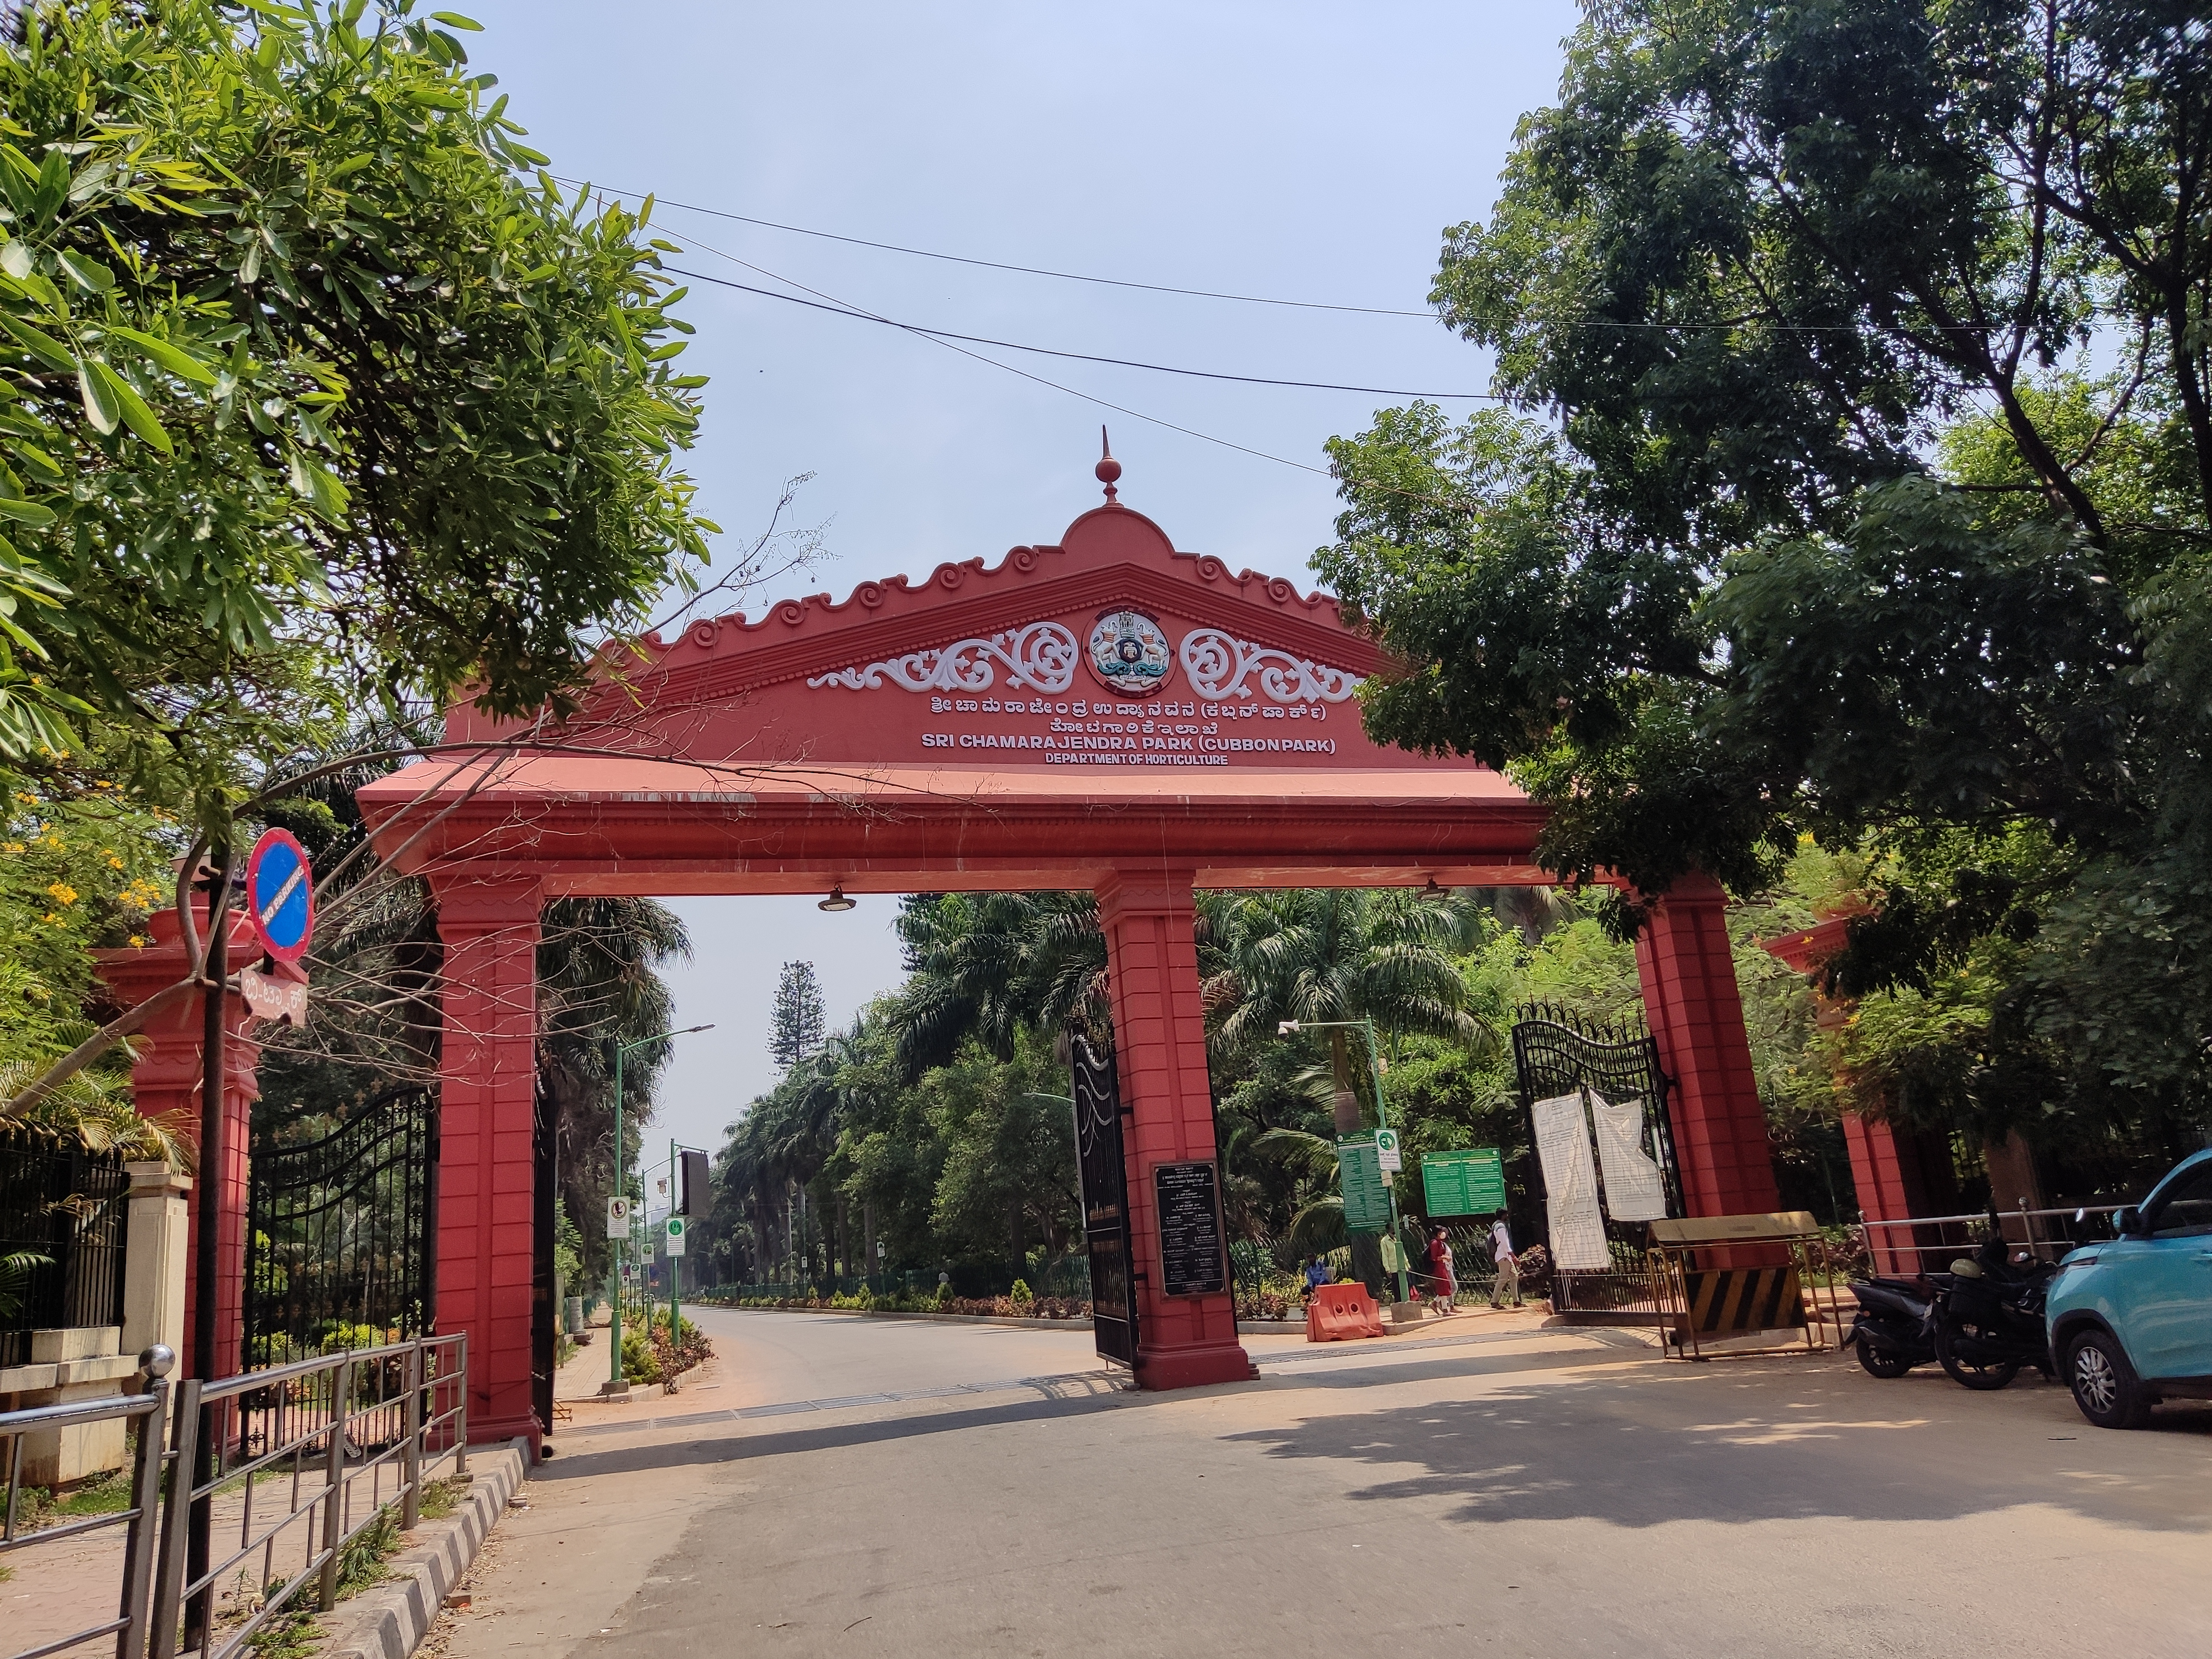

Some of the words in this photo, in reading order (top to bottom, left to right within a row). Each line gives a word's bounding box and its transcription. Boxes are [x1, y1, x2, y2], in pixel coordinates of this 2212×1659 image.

[925, 691, 953, 717] ಶ್ರೀ
[952, 693, 1092, 720] ಚಾಮರಾಜೇಂದ್ರ
[1092, 700, 1196, 719] ಉದ್ಯಾನವನ
[1202, 698, 1324, 723] (ಕಬ್ಬನ್ ಪಾರ್ಕ್)
[1046, 712, 1125, 737] ತೋಟಗಾ
[1124, 716, 1156, 737] ರಿಕೆ
[1156, 718, 1219, 739] ಇಲಾಖೆ
[916, 731, 956, 753] SRI
[954, 731, 1138, 752] CHAMARAJENDRA
[1140, 735, 1195, 752] PARK
[1202, 735, 1281, 755] CUBBON
[1280, 735, 1331, 755] PARK
[1044, 750, 1129, 766] DEPARTMENT
[1127, 752, 1144, 767] OF
[1142, 750, 1230, 768] HORTICULTURE